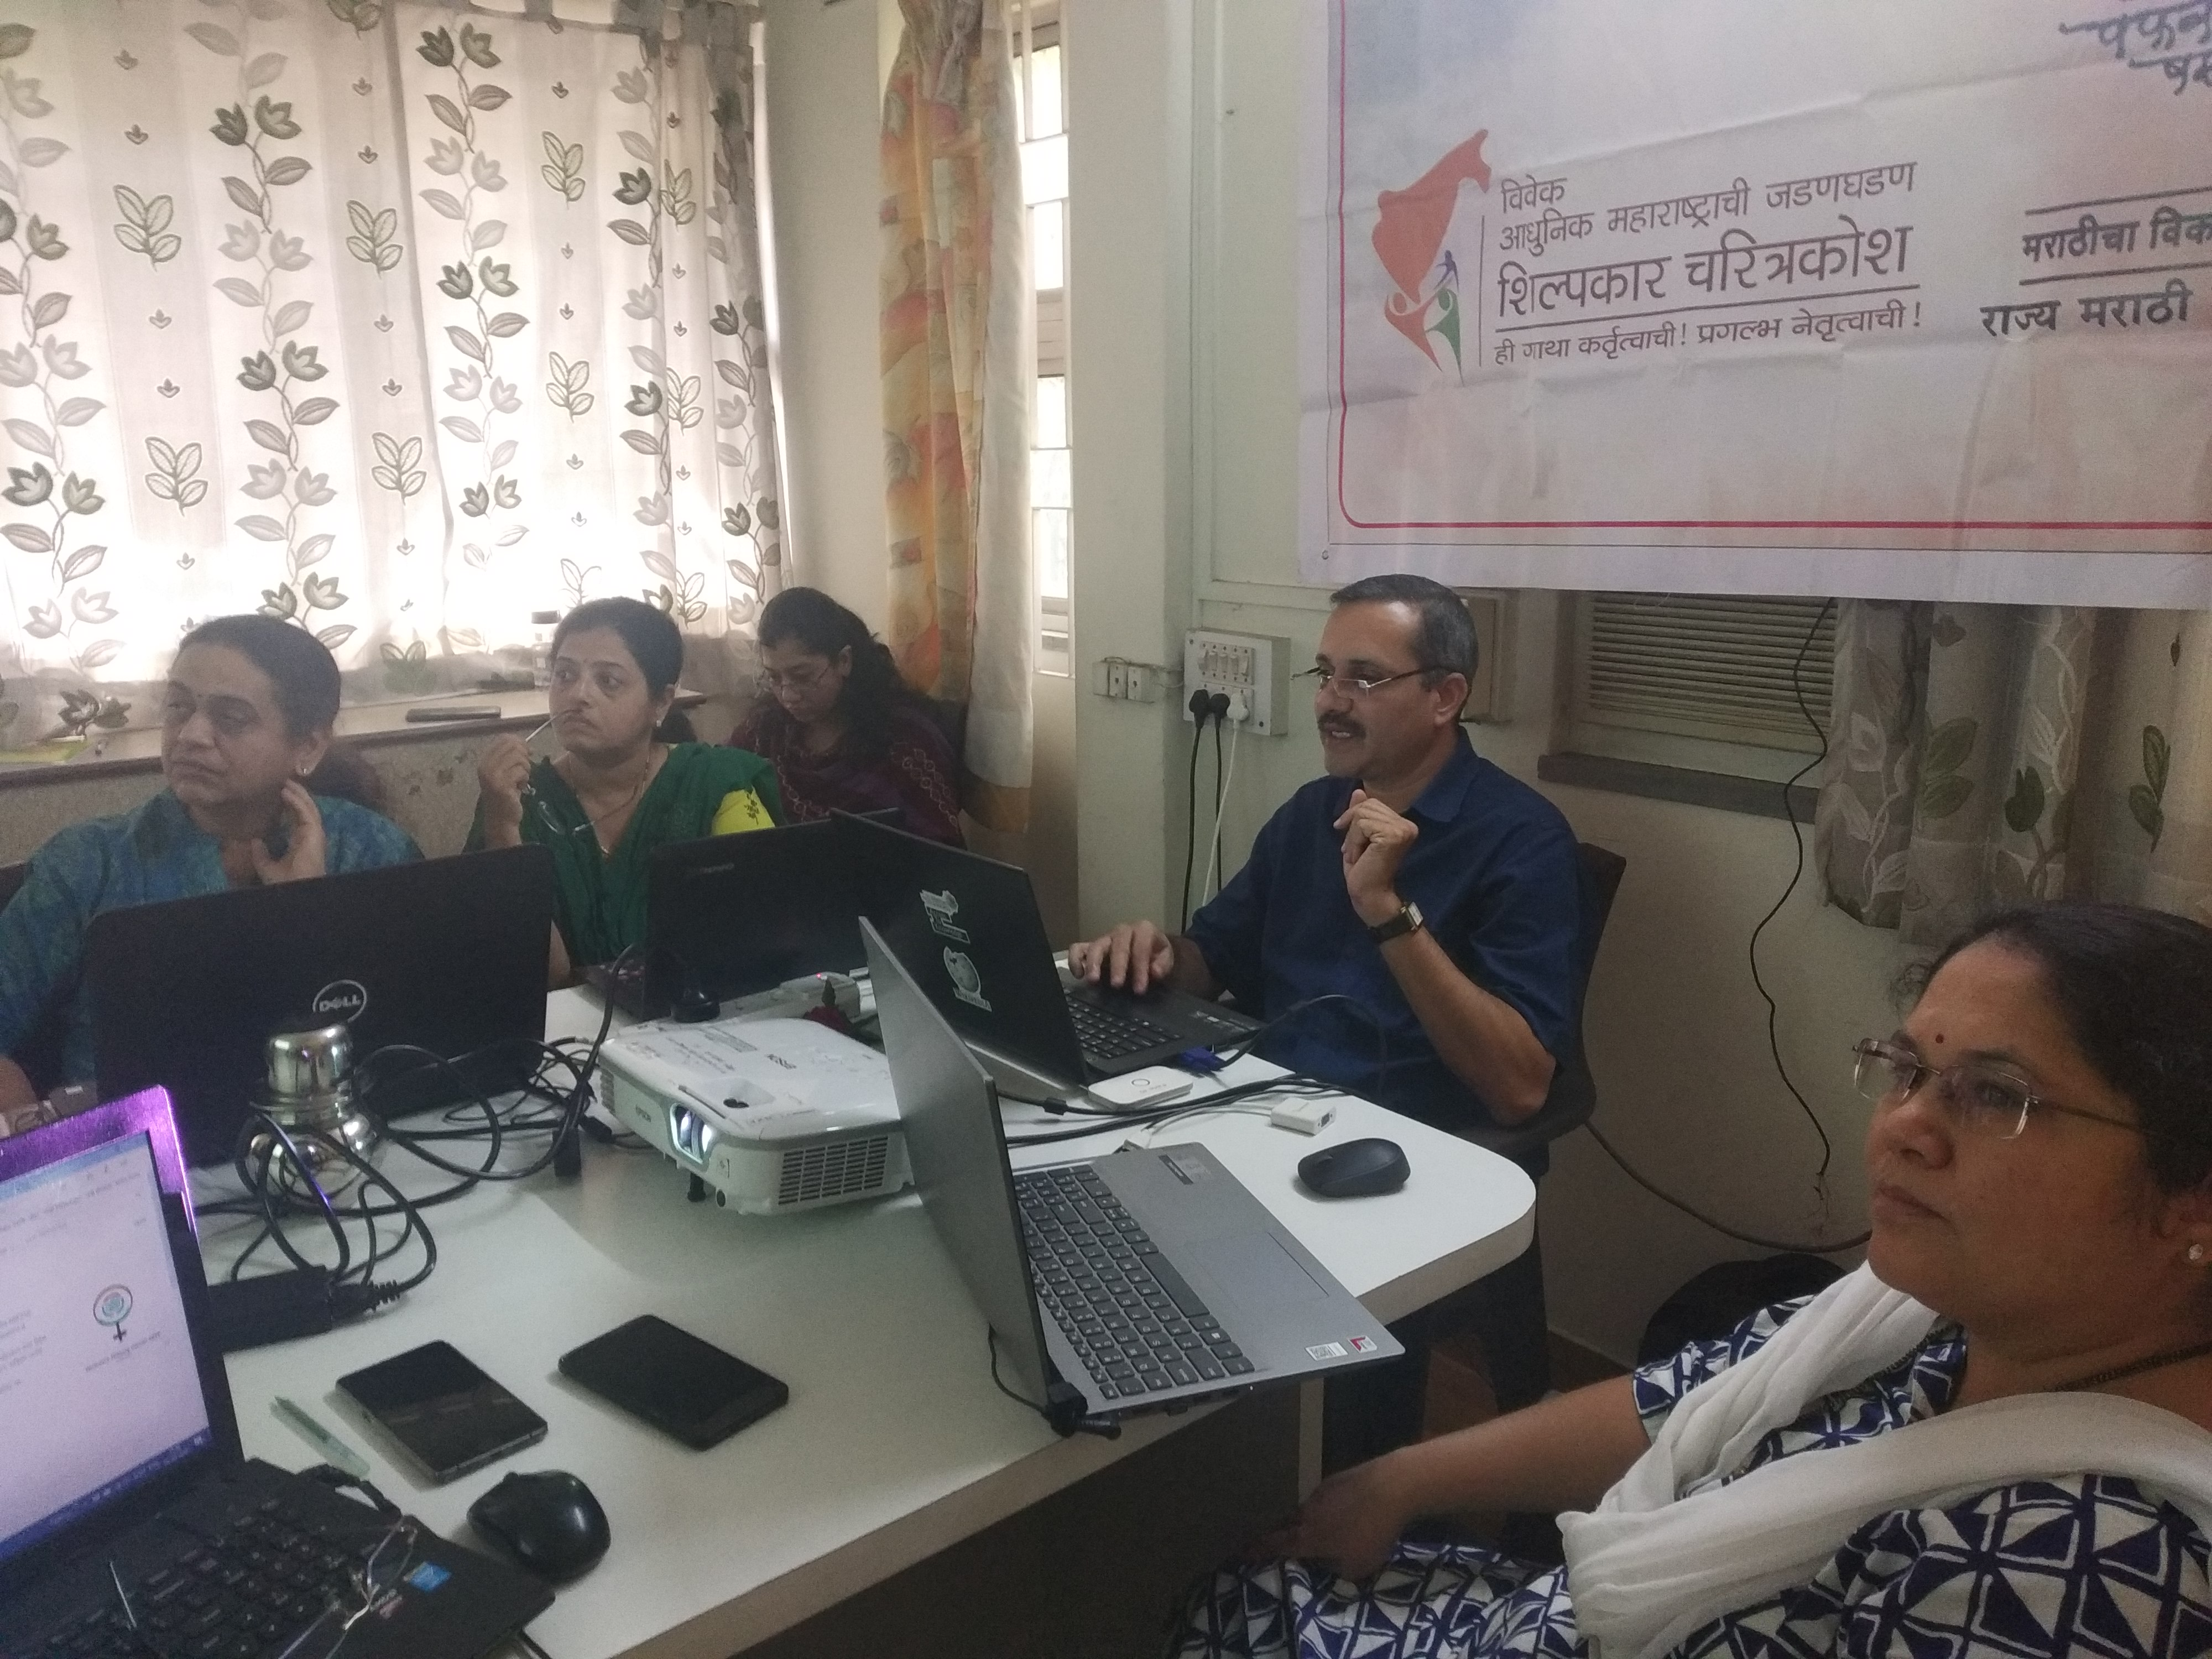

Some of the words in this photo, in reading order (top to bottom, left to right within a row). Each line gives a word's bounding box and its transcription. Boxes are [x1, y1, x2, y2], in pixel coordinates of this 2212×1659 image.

[1495, 171, 1572, 218] विवेक
[1495, 204, 1598, 261] आधुनिक
[1601, 173, 1757, 239] महाराष्ट्राची
[1679, 208, 1918, 296] चरित्रकोश
[1759, 158, 1922, 215] जडणघडण
[2016, 211, 2143, 268] मराठीचा
[1491, 336, 1520, 370] ही
[1518, 332, 1574, 362] गाथा
[1491, 255, 1676, 324] शिल्पकार
[1574, 317, 1692, 362] कर्तृत्वाची!
[1694, 315, 1786, 351] प्रगल्भ
[1786, 296, 1927, 348] नेतृत्वाची !
[1974, 295, 2065, 342] राज्य
[2073, 274, 2199, 333] मराठी